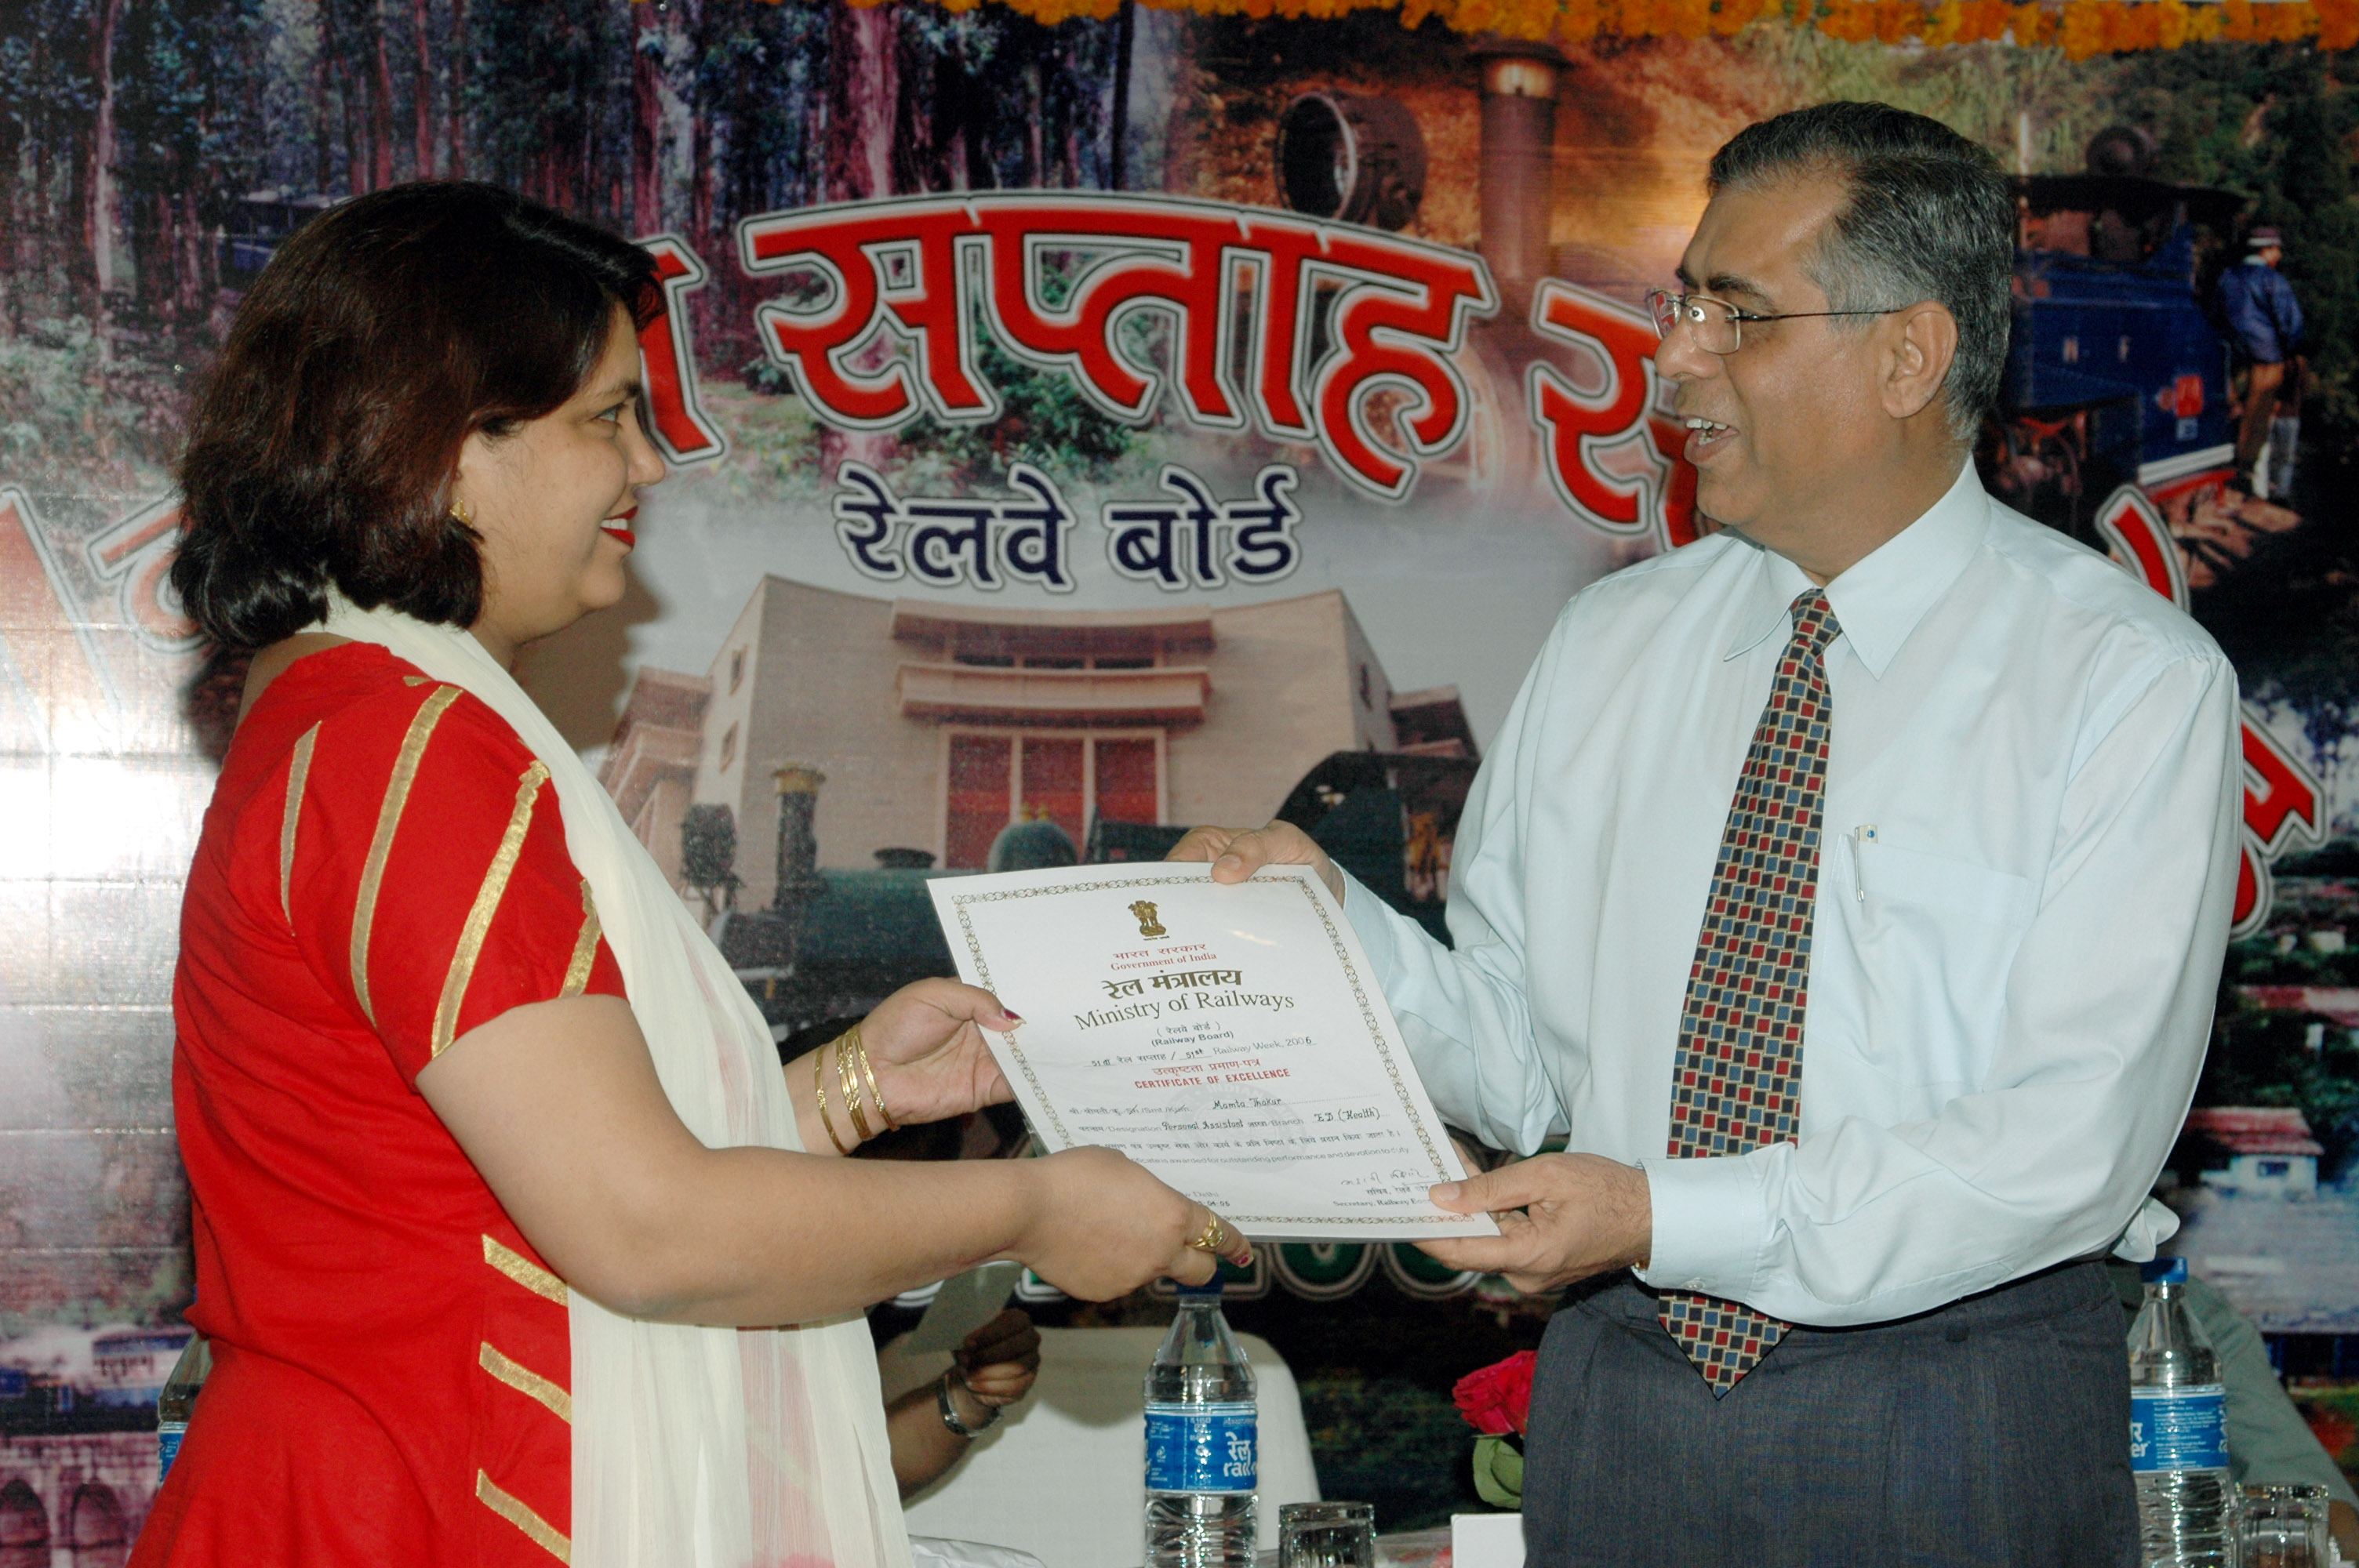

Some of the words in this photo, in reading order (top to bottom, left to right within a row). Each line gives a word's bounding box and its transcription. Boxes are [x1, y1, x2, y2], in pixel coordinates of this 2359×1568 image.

[735, 177, 1496, 506] सप्ताह
[830, 456, 1076, 596] रेलवे
[1098, 456, 1306, 596] बोर्ड
[1112, 946, 1153, 963] भारत
[1107, 954, 1176, 975] Government
[1174, 953, 1189, 965] of
[1155, 941, 1210, 957] सरकार
[1189, 951, 1221, 965] India
[1145, 964, 1243, 995] मंत्रालय
[1098, 977, 1147, 1004] रेल
[1165, 990, 1191, 1016] of
[1191, 986, 1297, 1014] Railways
[1071, 1000, 1162, 1036] Ministry
[1115, 1053, 1135, 1065] रेल
[1136, 1051, 1169, 1064] सप्‍ताह
[1133, 1075, 1204, 1091] CERTIFICATE
[1151, 1034, 1197, 1051] Railway
[1161, 1022, 1191, 1039] रेलवे
[1150, 1062, 1209, 1080] उत्कृष्टता
[1189, 1019, 1213, 1034] बोर्ड
[1204, 1073, 1221, 1087] OF
[1196, 1027, 1234, 1045] Board)
[1206, 1058, 1241, 1074] प्रमाण
[1212, 1044, 1252, 1058] Railway
[1240, 1056, 1264, 1070] पत्र
[1223, 1065, 1292, 1086] EXCELLENCE
[1252, 1038, 1283, 1053] Week
[1284, 1034, 1314, 1048] 2006
[1210, 1098, 1248, 1112] Mamta
[1246, 1095, 1284, 1109] Thakur
[1161, 1120, 1201, 1134] Personal
[1202, 1116, 1247, 1133] Assistant
[1311, 1110, 1337, 1126] ED
[1341, 1106, 1378, 1124] Health
[1363, 1182, 1390, 1197] सचिव
[1394, 1180, 1415, 1196] रेलवे